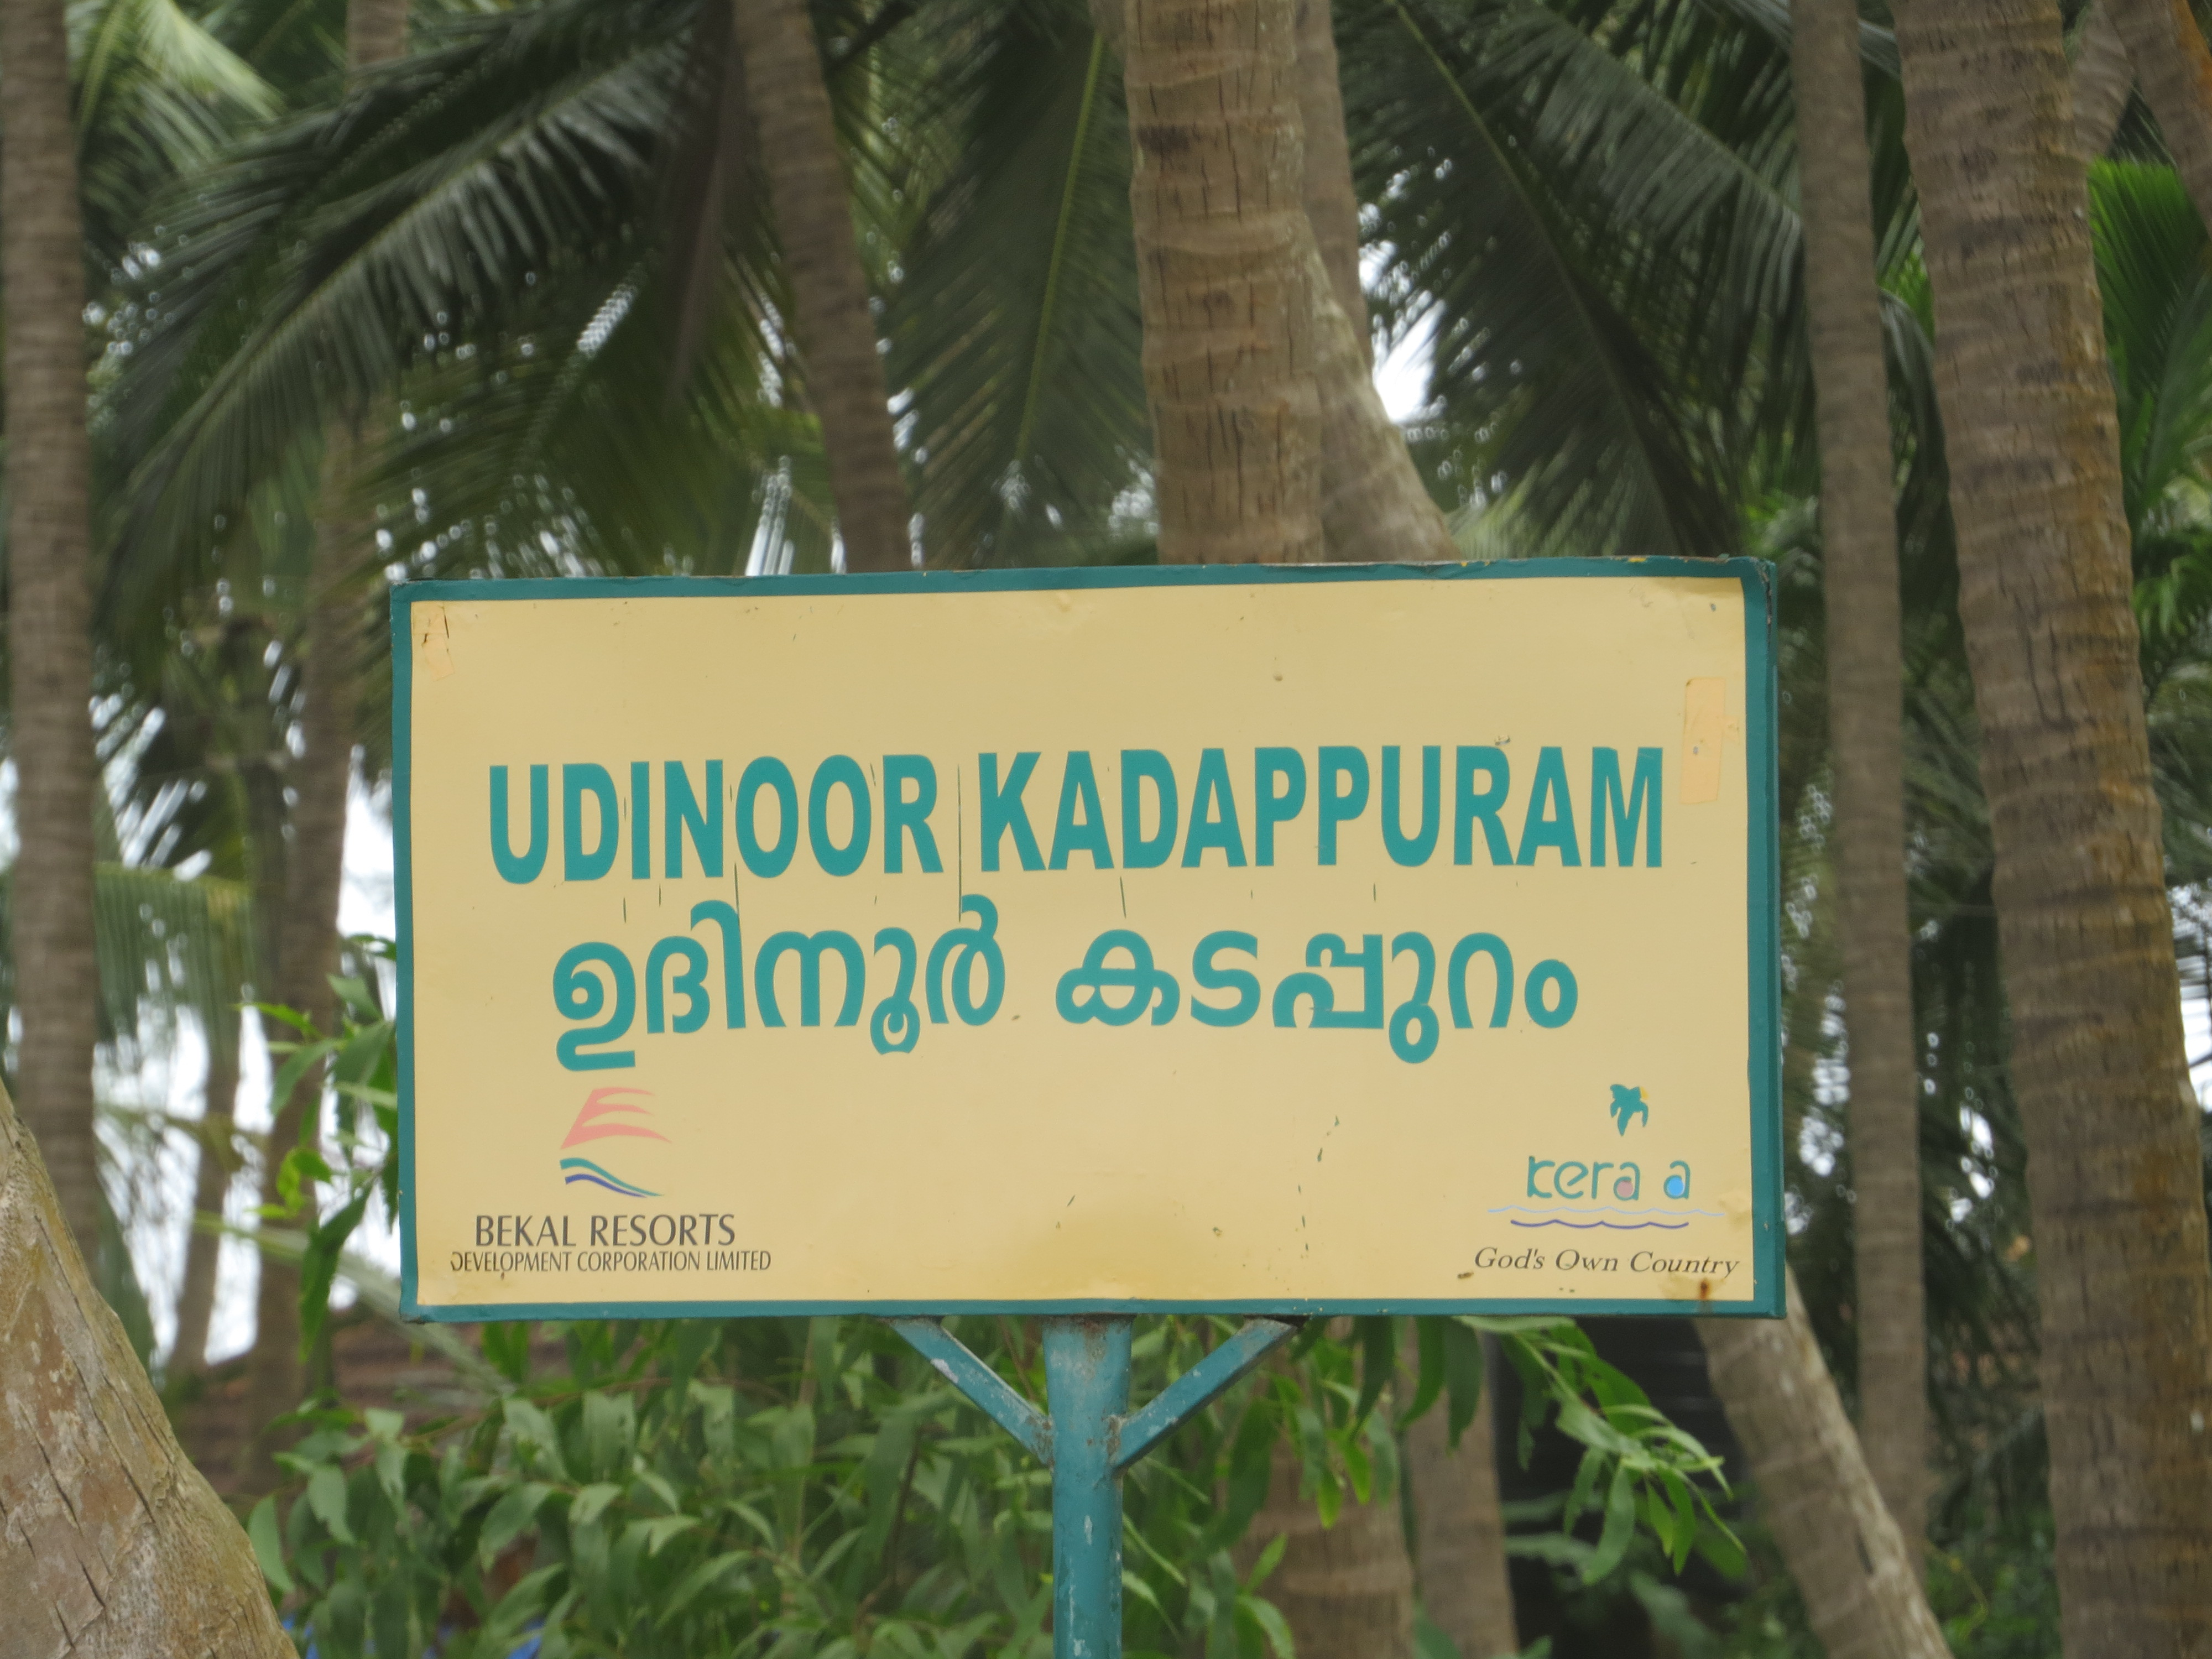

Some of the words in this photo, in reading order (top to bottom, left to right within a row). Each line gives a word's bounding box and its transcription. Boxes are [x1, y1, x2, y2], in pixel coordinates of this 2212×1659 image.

[478, 749, 954, 889] UDINOOR
[967, 732, 1670, 878] KADAPPURAM
[547, 885, 1009, 1075] ഉദിനൂർ
[1044, 925, 1588, 1070] കടപ്പുറം
[1523, 1148, 1648, 1210] kera
[468, 1209, 578, 1254] BEKAL
[584, 1206, 739, 1251] RESORTS
[444, 1242, 577, 1276] DEVELOPMENT
[572, 1245, 705, 1276] CORPORATION
[701, 1244, 775, 1276] LIMITED
[1473, 1237, 1550, 1274] God
[1552, 1246, 1623, 1278] Own
[1620, 1242, 1742, 1282] Country